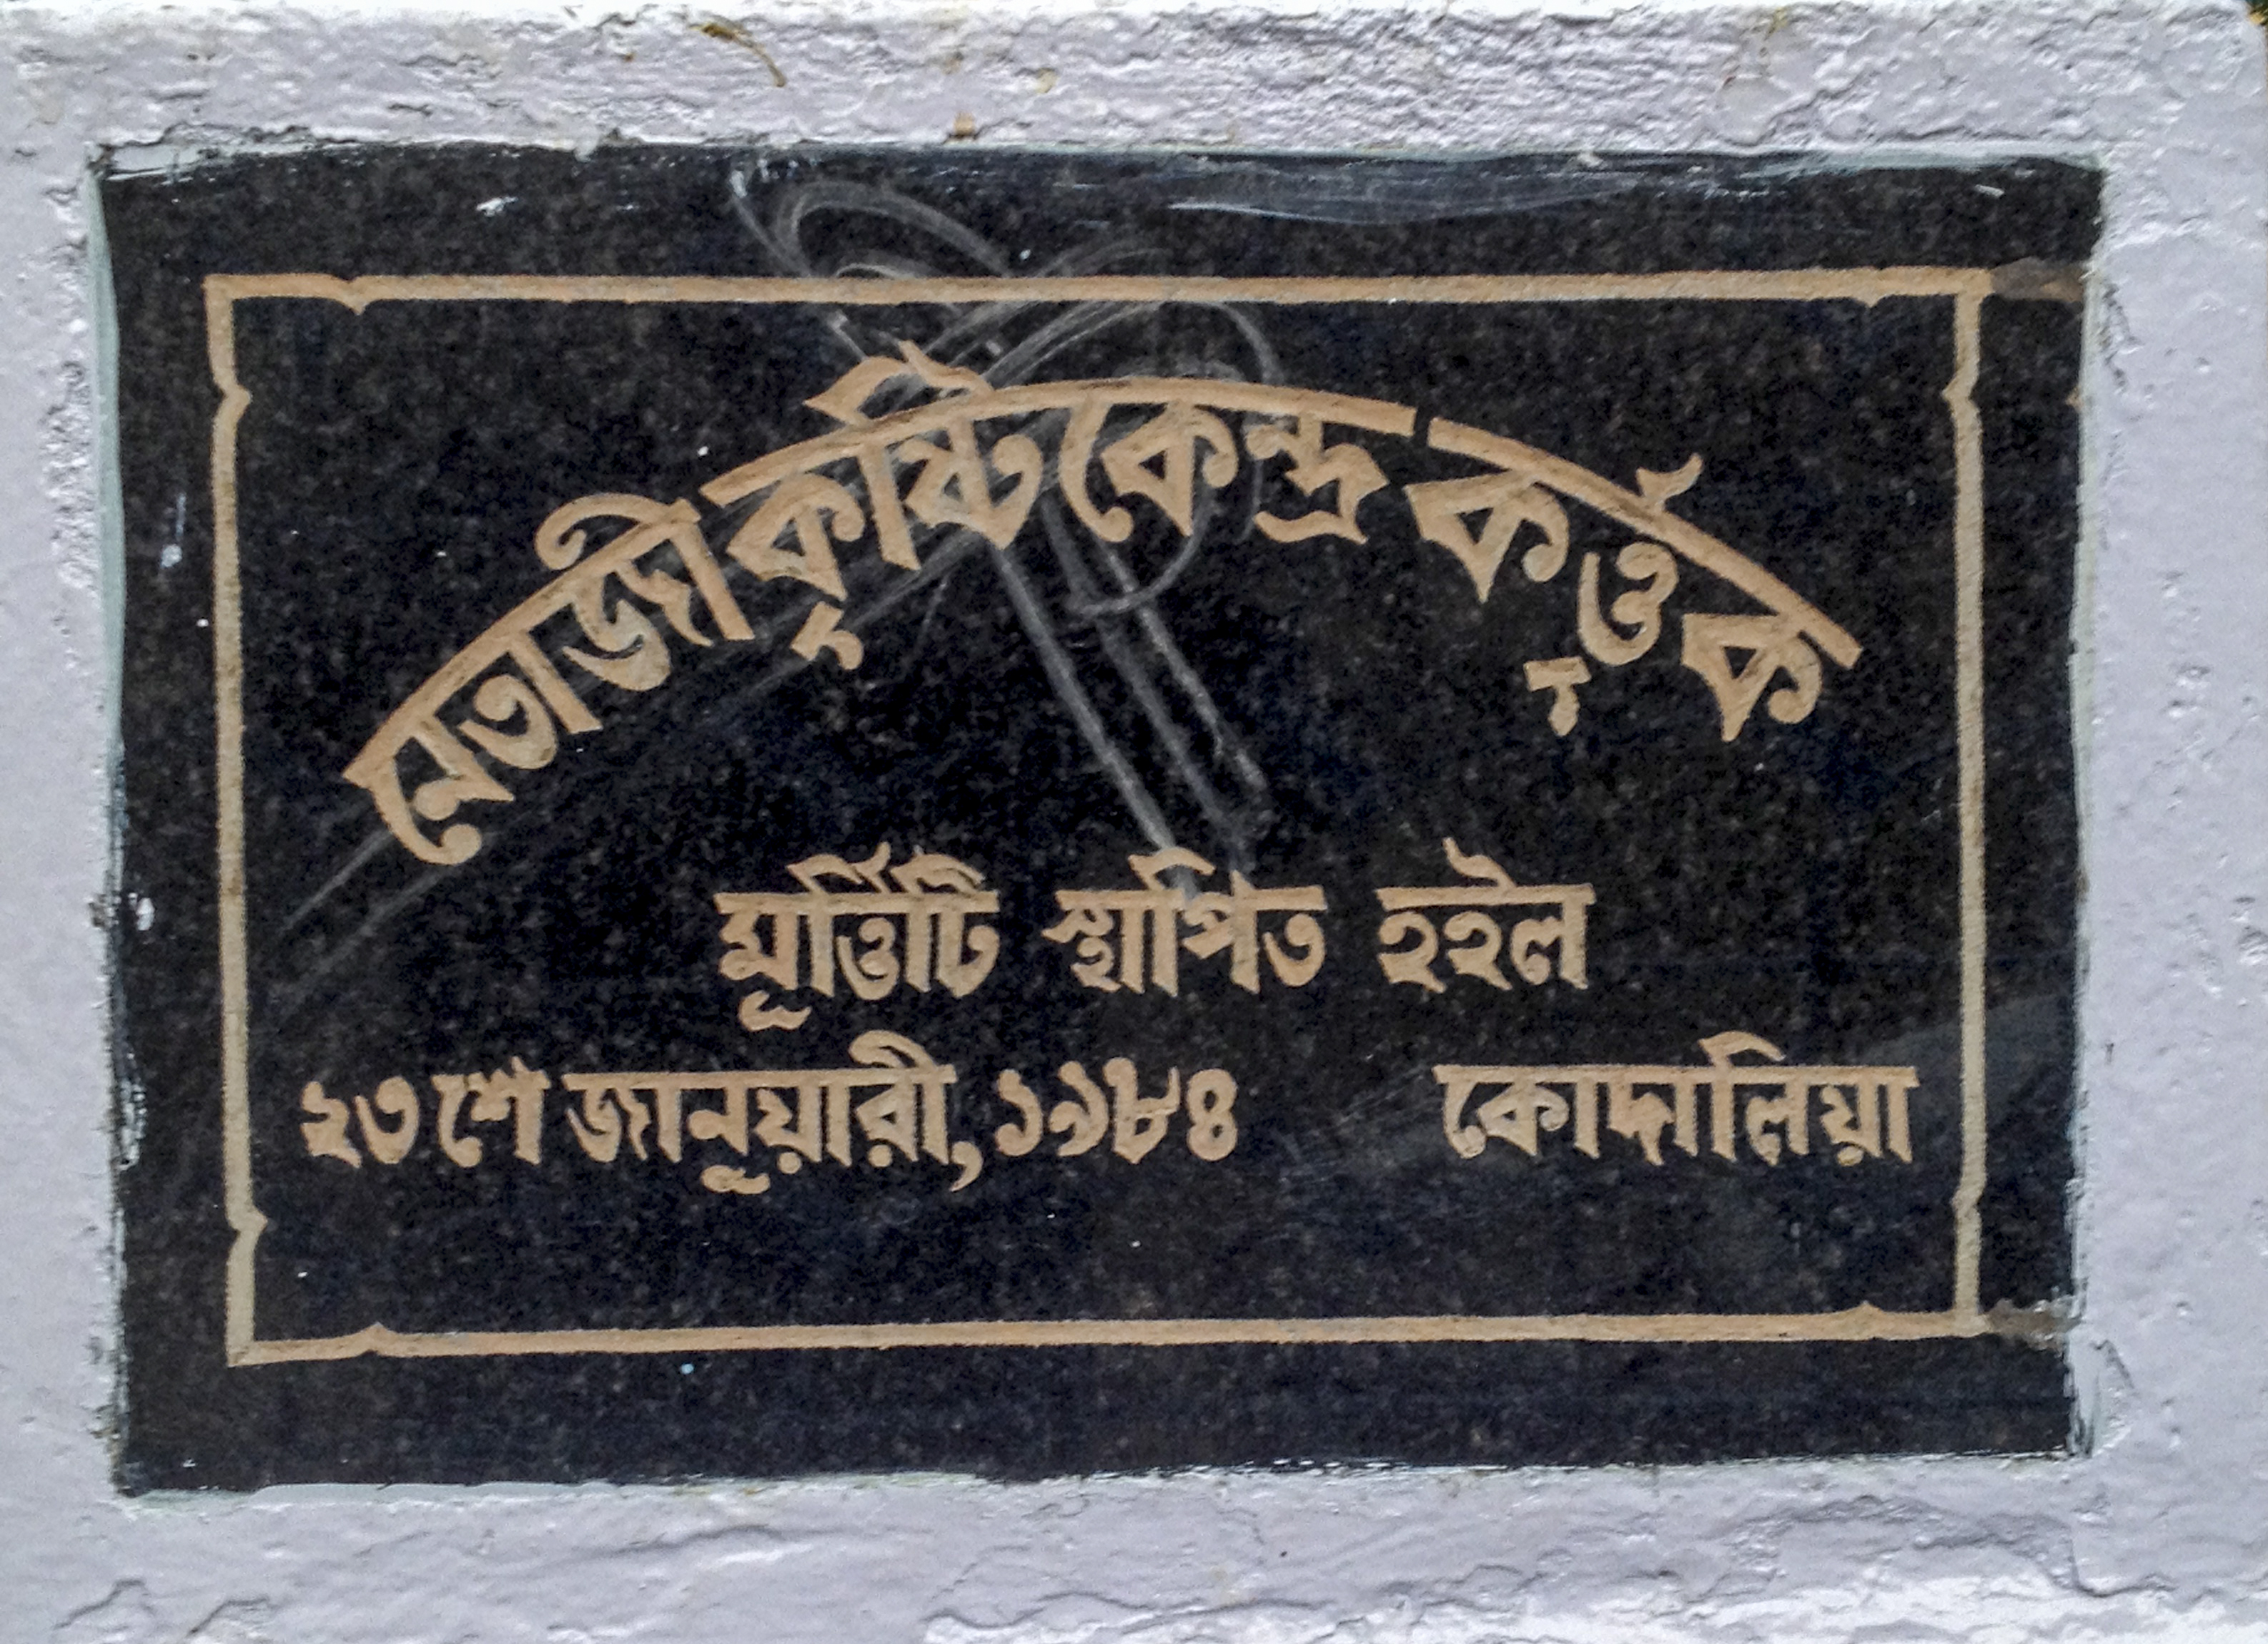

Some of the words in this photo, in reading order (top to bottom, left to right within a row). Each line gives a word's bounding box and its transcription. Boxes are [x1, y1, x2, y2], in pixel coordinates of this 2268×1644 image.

[337, 472, 771, 886] নেতাজী
[682, 327, 1431, 688] কৃষ্টিকেন্দ্র
[1365, 405, 1871, 758] কর্ত্বক
[702, 836, 1012, 1046] মূর্তিটি
[1031, 821, 1361, 1004] স্থাপিত
[1358, 822, 1610, 1011] হইল
[287, 1046, 562, 1188] ২৩শ
[558, 1009, 968, 1211] জানুয়ারী
[974, 1041, 1251, 1181] ১৯৮৪
[1421, 1018, 1927, 1172] কোদালিয়া